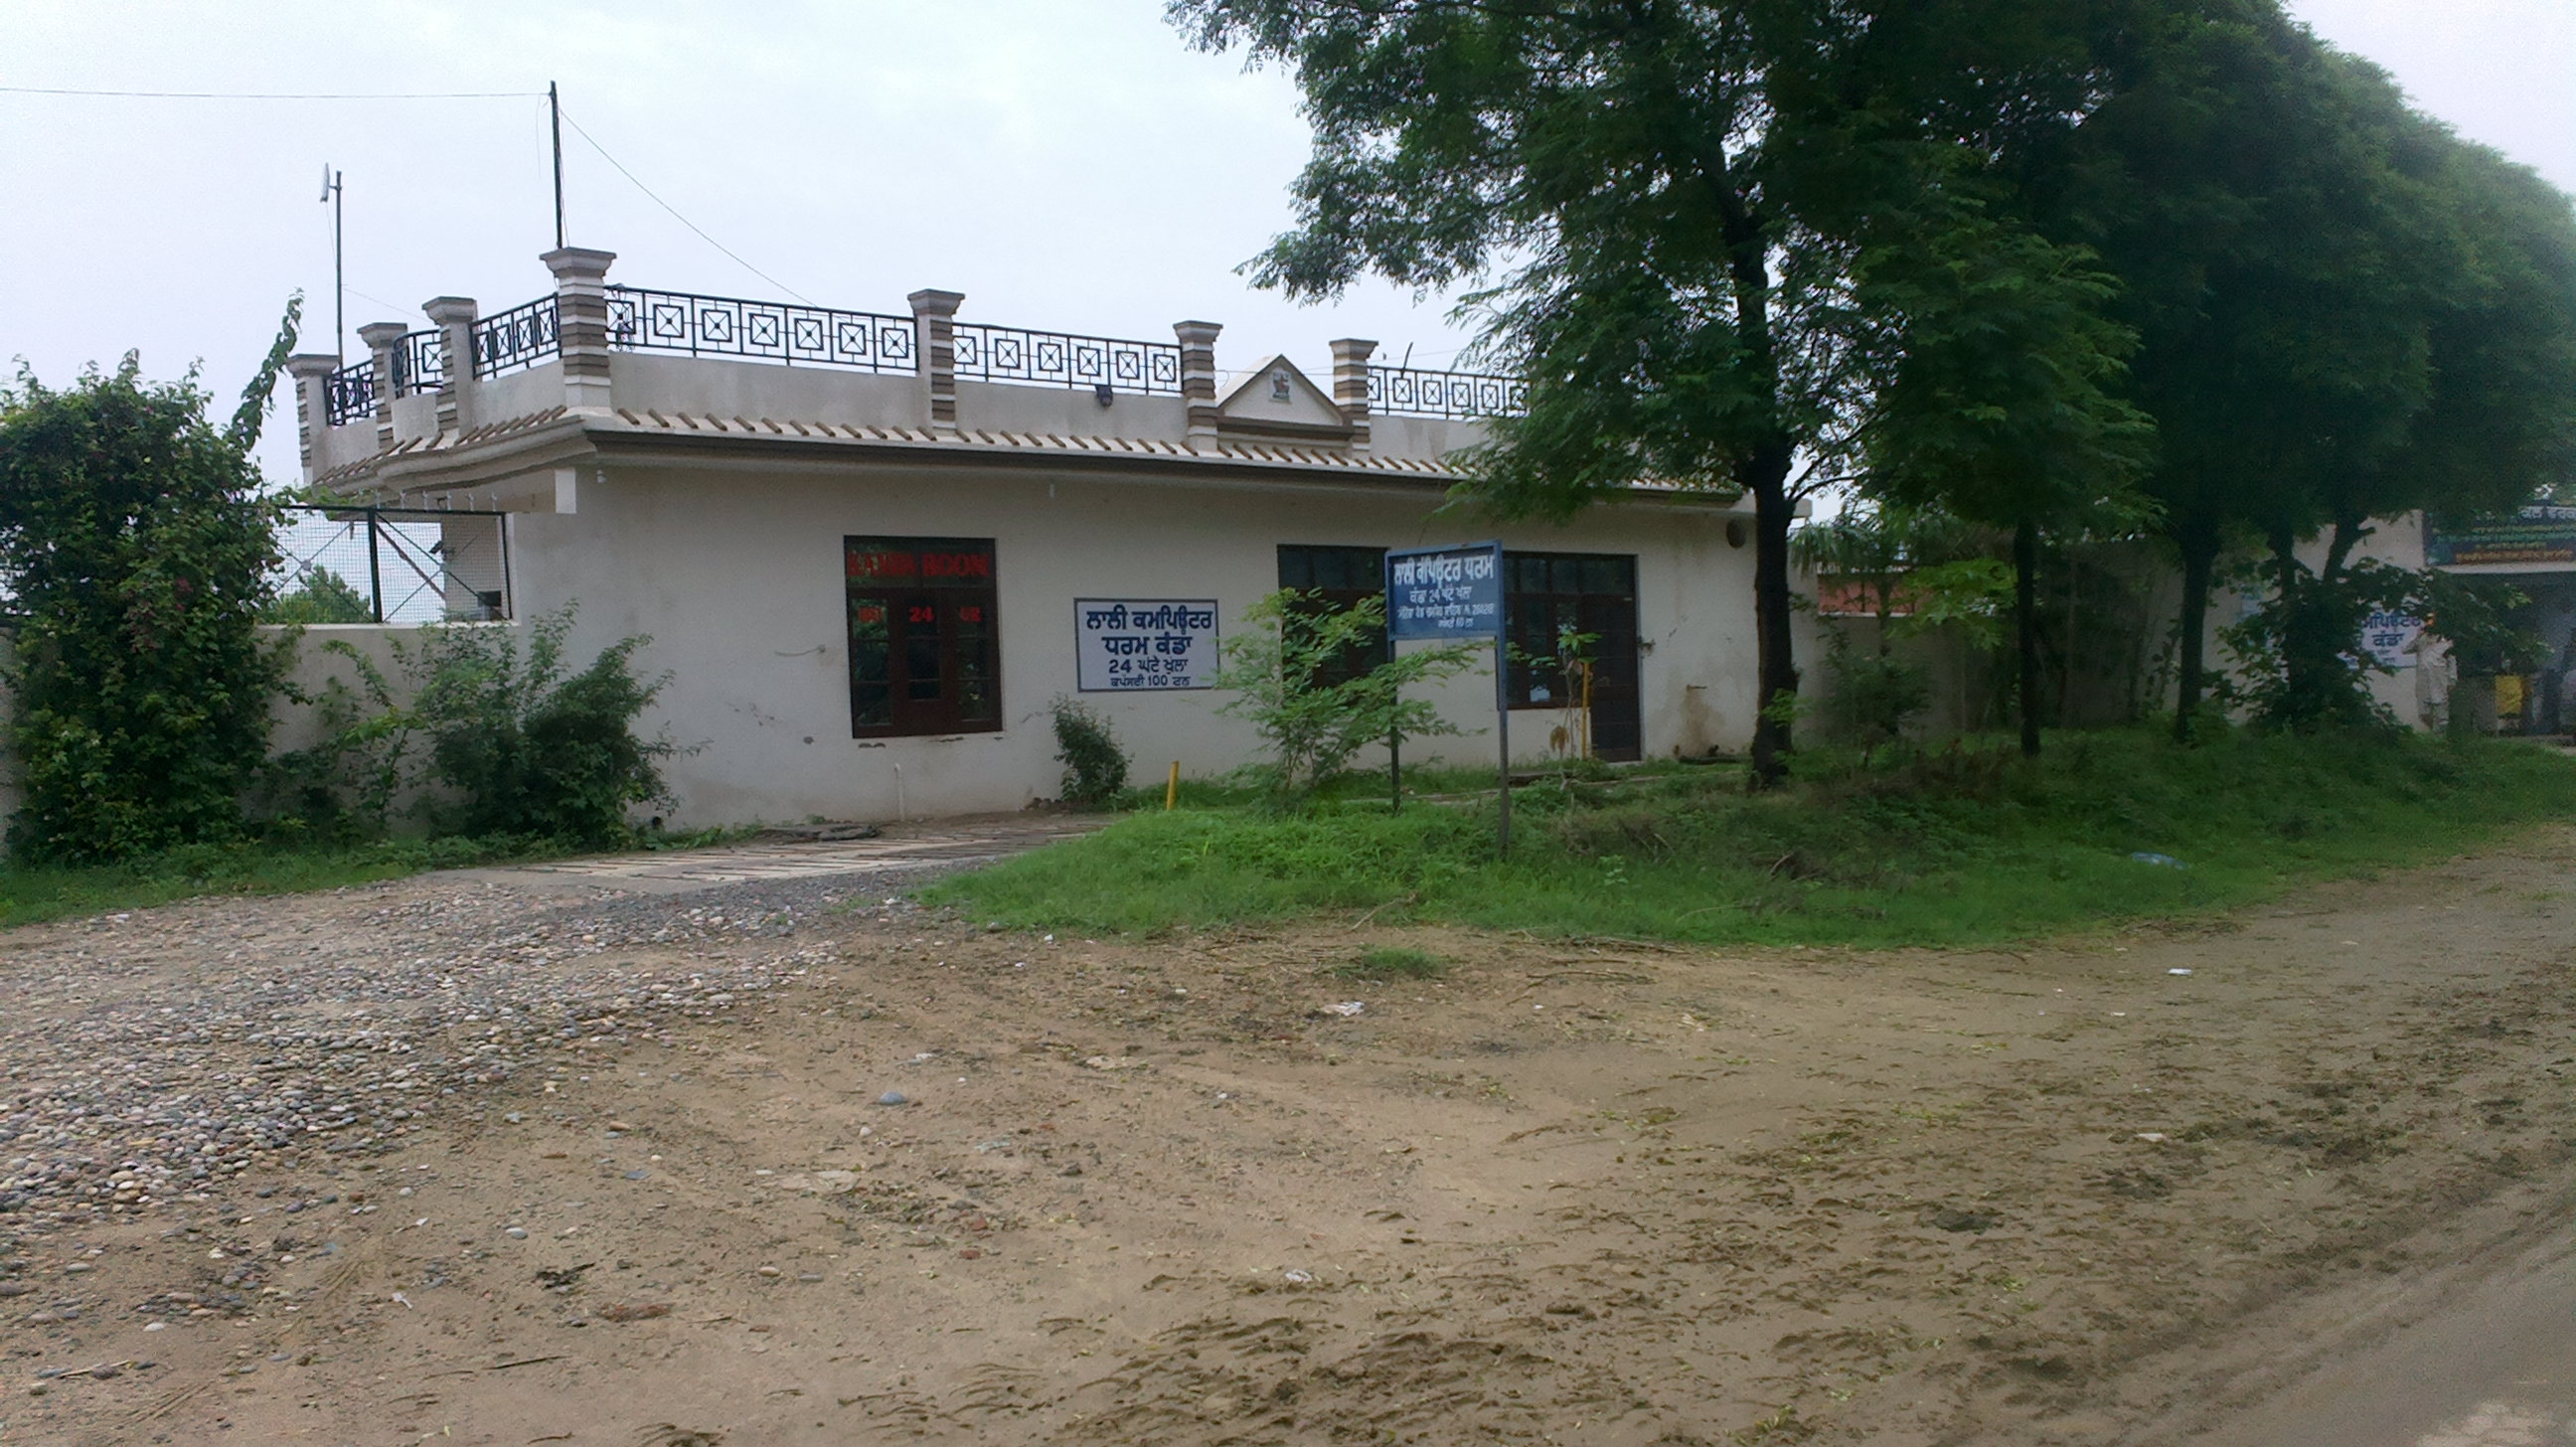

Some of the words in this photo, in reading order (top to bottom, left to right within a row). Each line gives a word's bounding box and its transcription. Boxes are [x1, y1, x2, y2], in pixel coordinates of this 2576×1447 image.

[1390, 556, 1415, 590] ਲਾਲੀ
[1415, 553, 1464, 588] ਕੰਪਿਊਟਰ
[1464, 549, 1497, 583] ਧਰਮ
[903, 602, 941, 628] 24
[1081, 601, 1131, 633] ਲਾਲੀ
[1130, 601, 1217, 635] ਕਮਪਿਊਟਰ
[1096, 632, 1152, 657] ਧਰਮ
[1151, 628, 1196, 658] ਕਡਾ
[1104, 656, 1134, 675] 24
[1133, 655, 1162, 675] ਘਟੇ
[1161, 656, 1193, 677] ਖਲਾ
[1106, 672, 1147, 690] ਕਪੰਸਰੀ
[1146, 675, 1171, 688] 1੦੦
[1170, 673, 1195, 689] ਟਠ